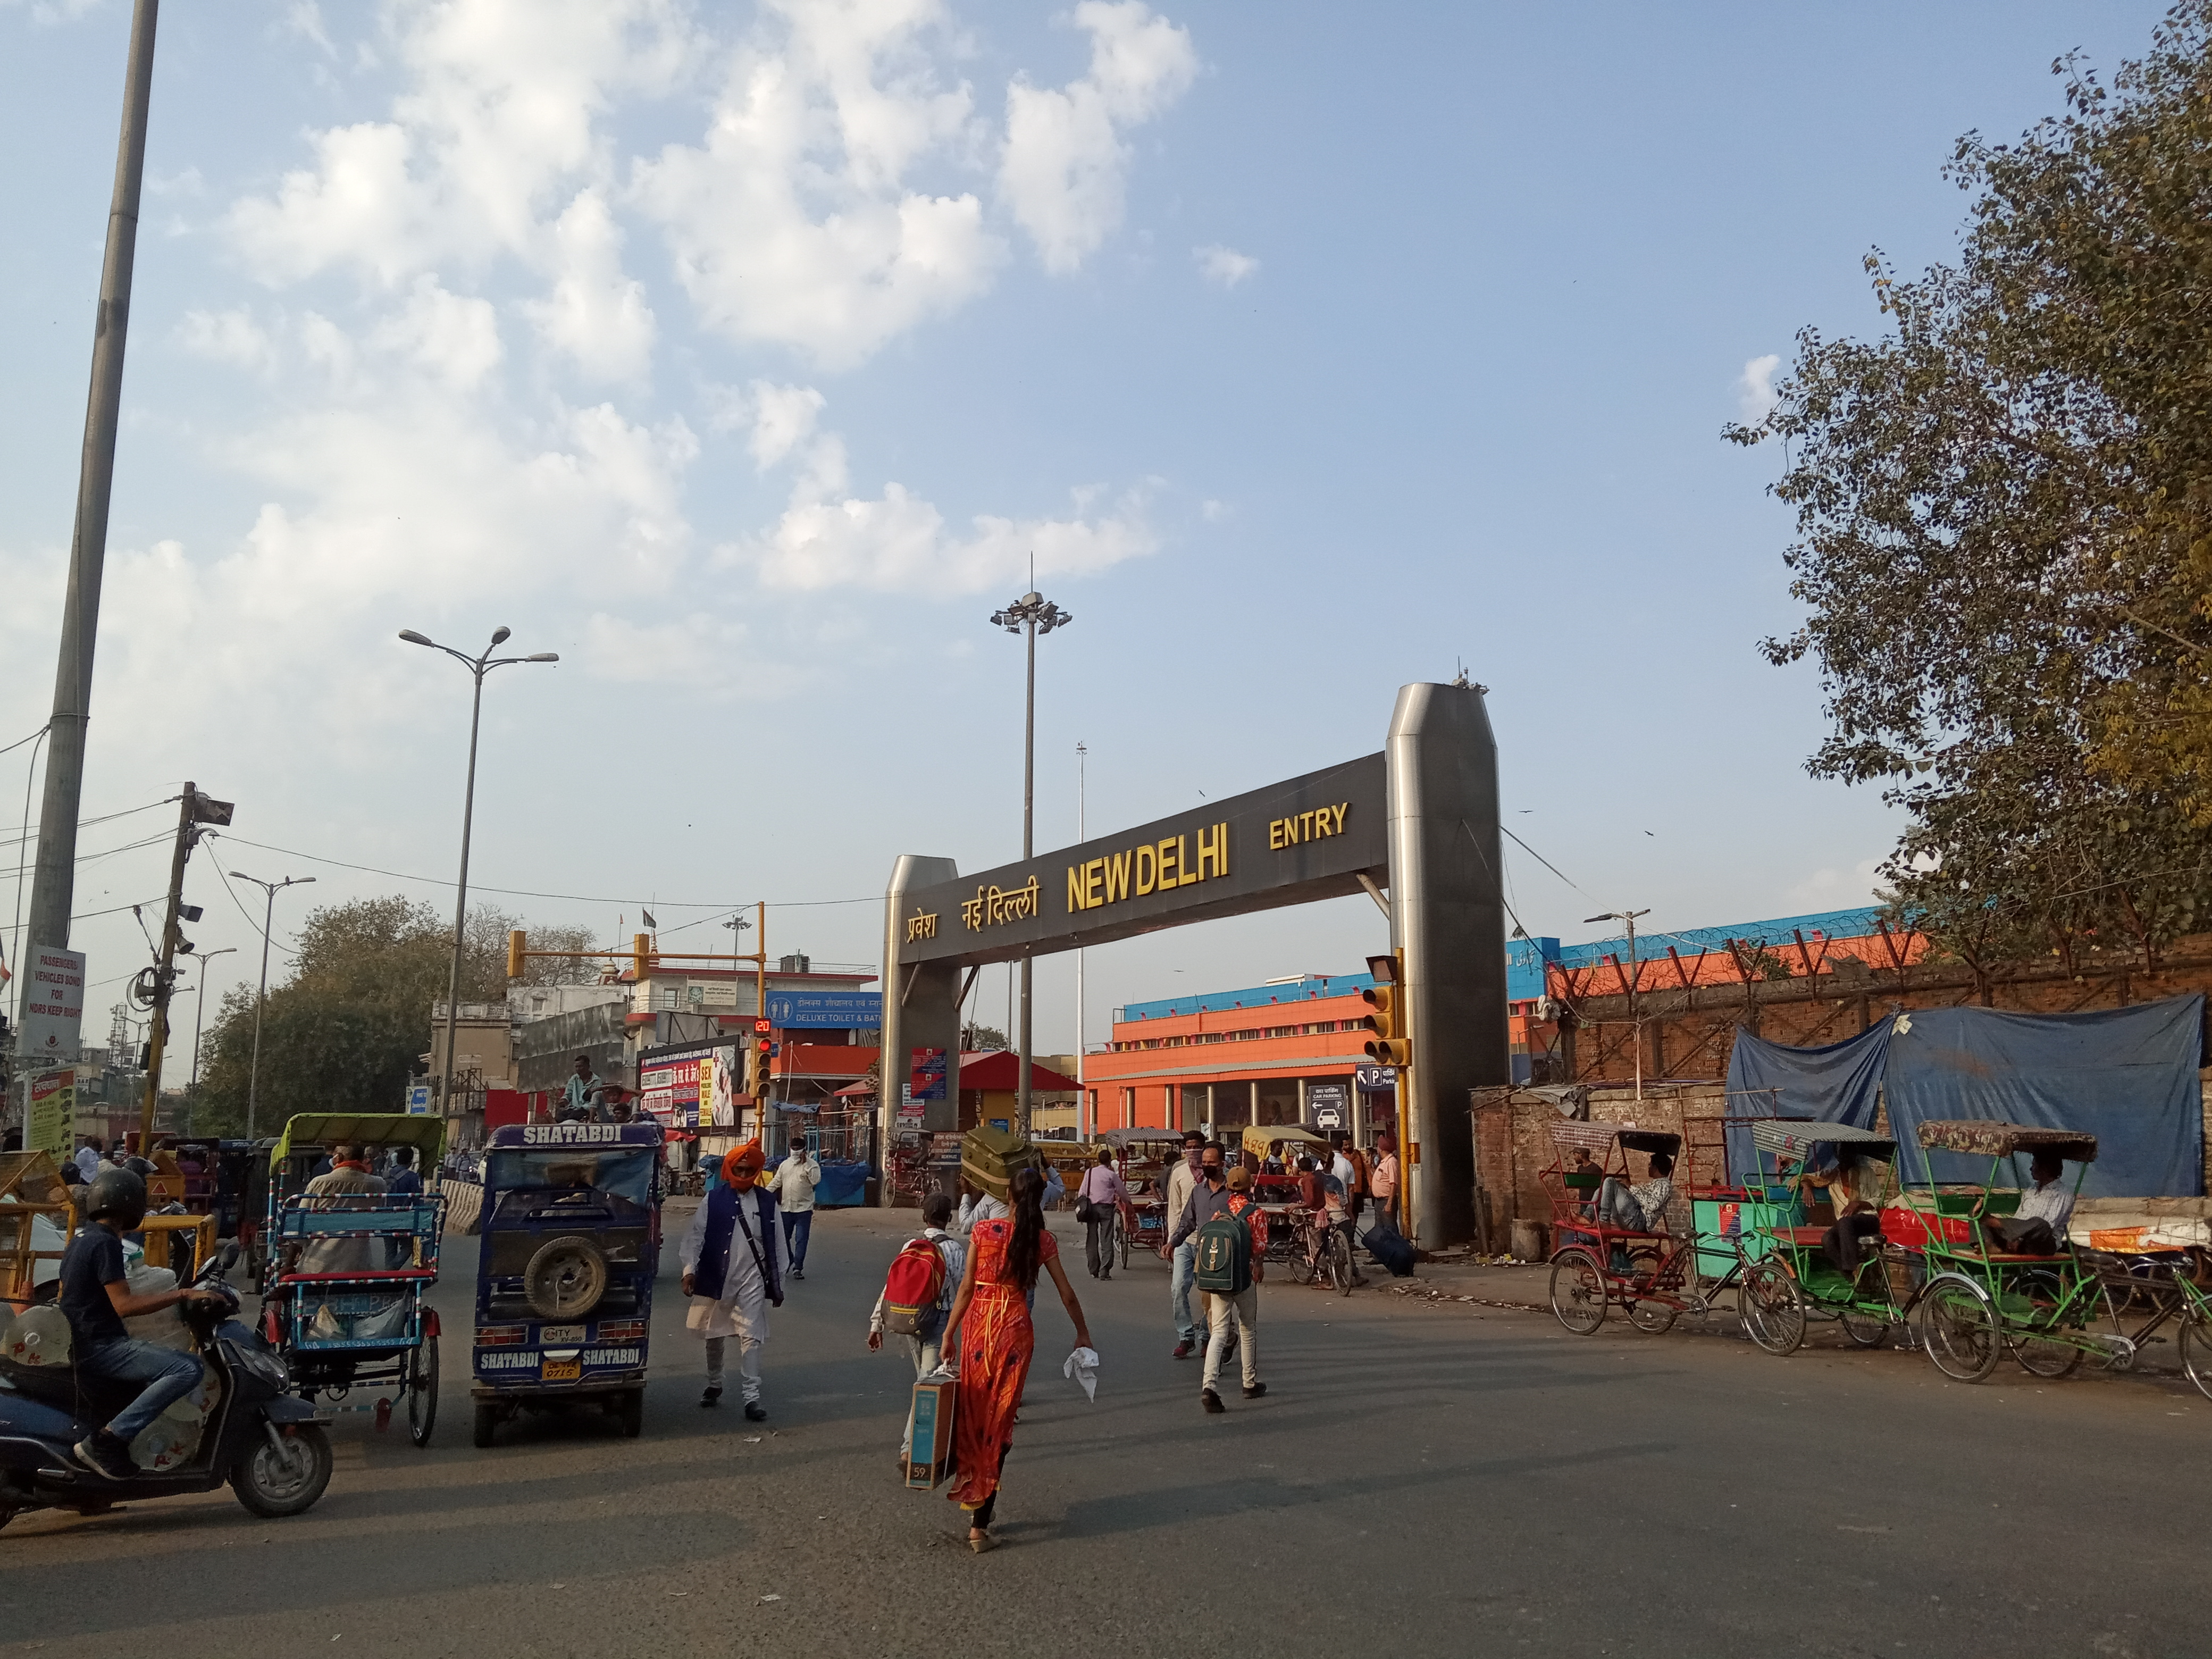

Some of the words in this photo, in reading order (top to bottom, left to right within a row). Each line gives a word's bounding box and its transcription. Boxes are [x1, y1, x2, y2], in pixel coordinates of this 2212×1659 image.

[1268, 800, 1351, 851] ENTRY
[1135, 818, 1229, 898] DELHI
[1066, 846, 1134, 914] NEW
[958, 883, 986, 934] नई
[986, 871, 1041, 928] दिल्‍ली
[906, 906, 940, 945] प्रवेश
[795, 994, 823, 1008] डॉलक्स
[823, 993, 856, 1009] शौचालय
[853, 996, 869, 1009] एवं
[794, 1013, 829, 1025] DELUXE
[828, 1012, 857, 1024] TOILET
[862, 1013, 884, 1026] BAT
[523, 1124, 623, 1145] SHATABDI
[477, 1350, 541, 1371] SHATABDI
[581, 1348, 642, 1368] SHATABDI